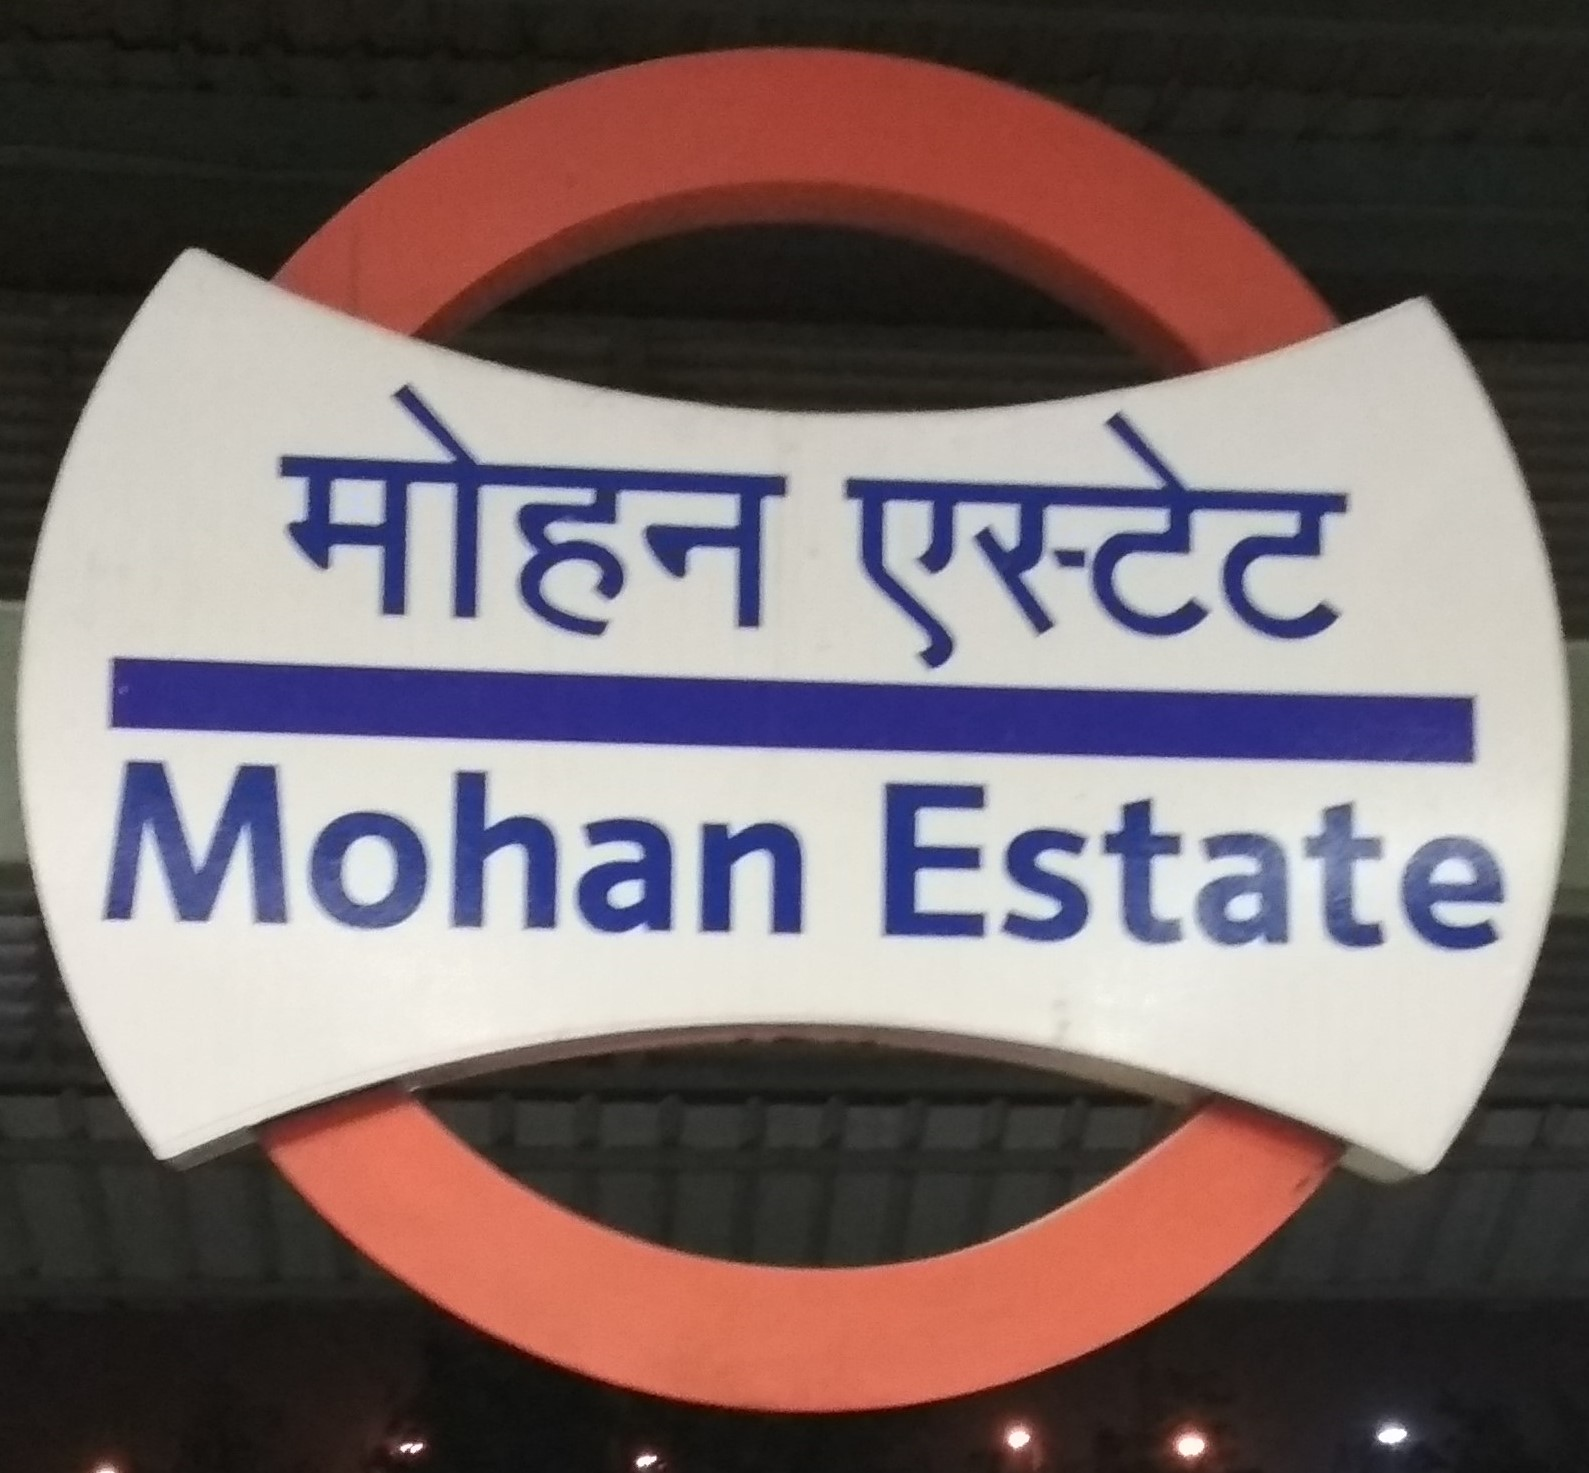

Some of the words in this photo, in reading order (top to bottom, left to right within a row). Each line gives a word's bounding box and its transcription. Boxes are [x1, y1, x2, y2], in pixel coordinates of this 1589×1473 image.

[276, 380, 794, 646] मोहन
[846, 405, 1352, 676] एस्टेट
[102, 755, 806, 937] Mohan
[882, 777, 1513, 954] Estate